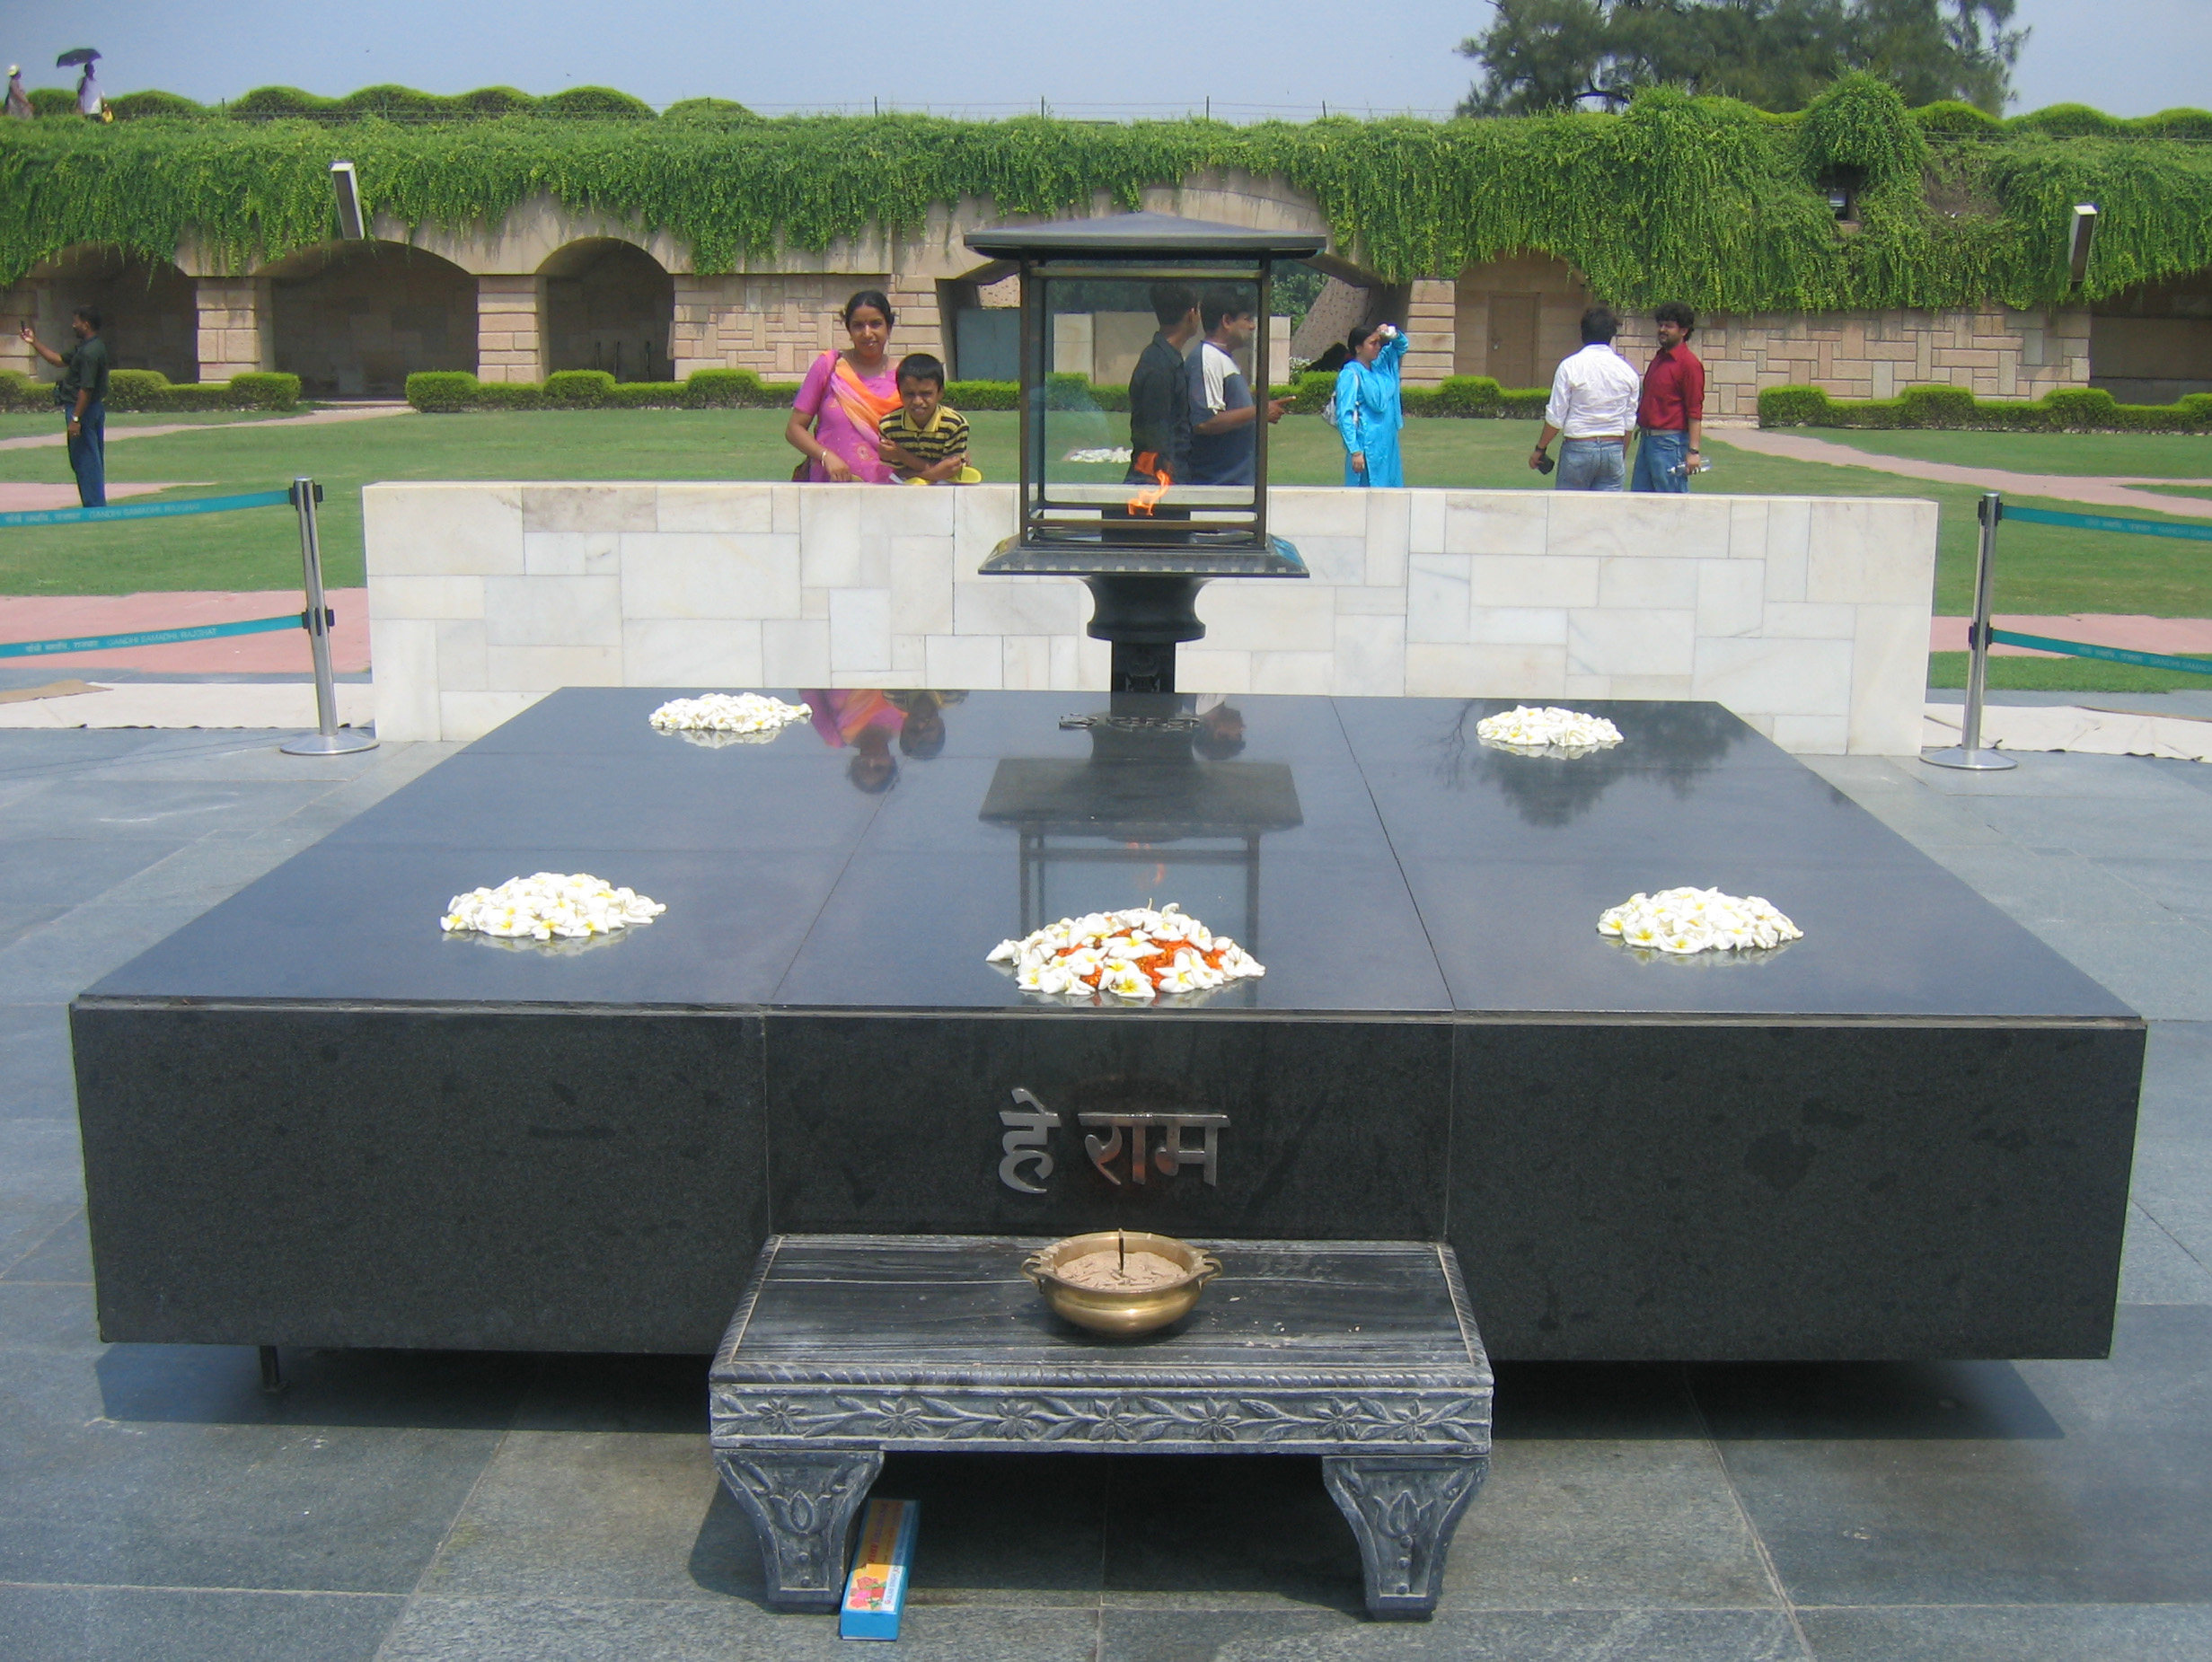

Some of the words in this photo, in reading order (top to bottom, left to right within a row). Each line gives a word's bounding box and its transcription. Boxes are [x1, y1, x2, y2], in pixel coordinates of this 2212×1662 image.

[991, 1086, 1065, 1197] हे
[1079, 1110, 1234, 1190] राम